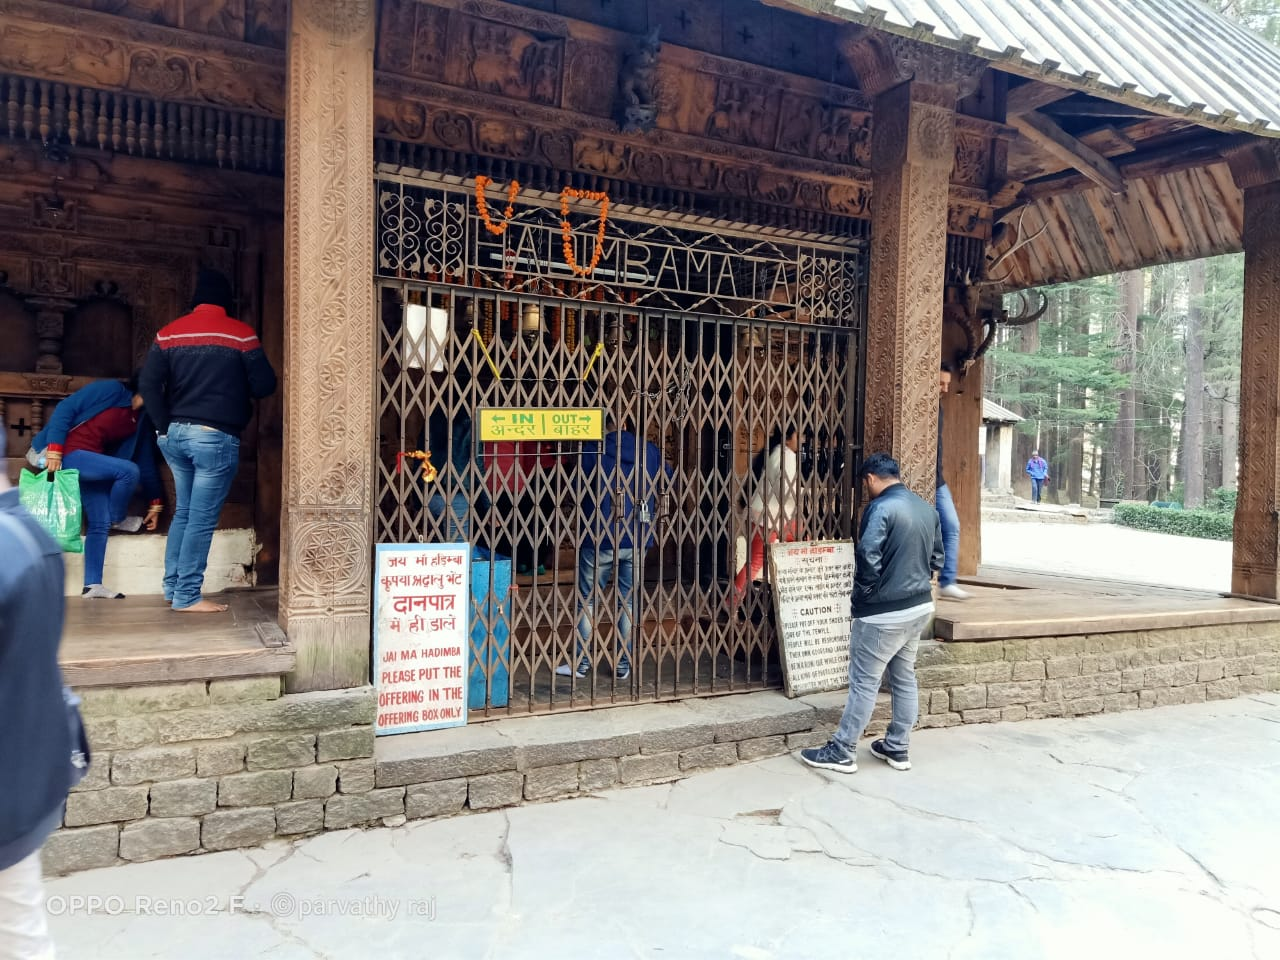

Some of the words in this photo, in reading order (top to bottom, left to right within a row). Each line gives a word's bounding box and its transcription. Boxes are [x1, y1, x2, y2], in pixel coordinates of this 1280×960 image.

[489, 417, 541, 441] अन्दर
[504, 408, 537, 426] IN
[548, 409, 583, 427] OUT
[551, 420, 595, 437] बाहर
[383, 549, 413, 571] जय
[410, 548, 434, 569] मां
[421, 545, 467, 571] हड़िम्बा
[377, 570, 415, 594] कृपया
[411, 569, 448, 593] श्रदालु
[441, 566, 467, 590] भेंट
[390, 589, 459, 620] दानपात्र
[381, 612, 404, 637] में
[403, 605, 429, 641] ही
[427, 608, 460, 635] डाले
[379, 646, 401, 667] JAI
[394, 644, 421, 663] MA
[417, 644, 466, 665] HADIMBA
[378, 667, 420, 689] PLEASE
[414, 663, 443, 682] PUT
[440, 659, 467, 681] THE
[373, 684, 428, 711] OFFERING
[423, 683, 443, 703] IN
[440, 682, 467, 703] THE
[374, 706, 424, 732] OFFERING
[418, 703, 444, 725] BOX
[437, 703, 464, 723] ONLY
[40, 888, 132, 921] OPPO
[129, 892, 227, 922] Reno2
[292, 891, 405, 923] parvathy
[404, 893, 441, 928] raj